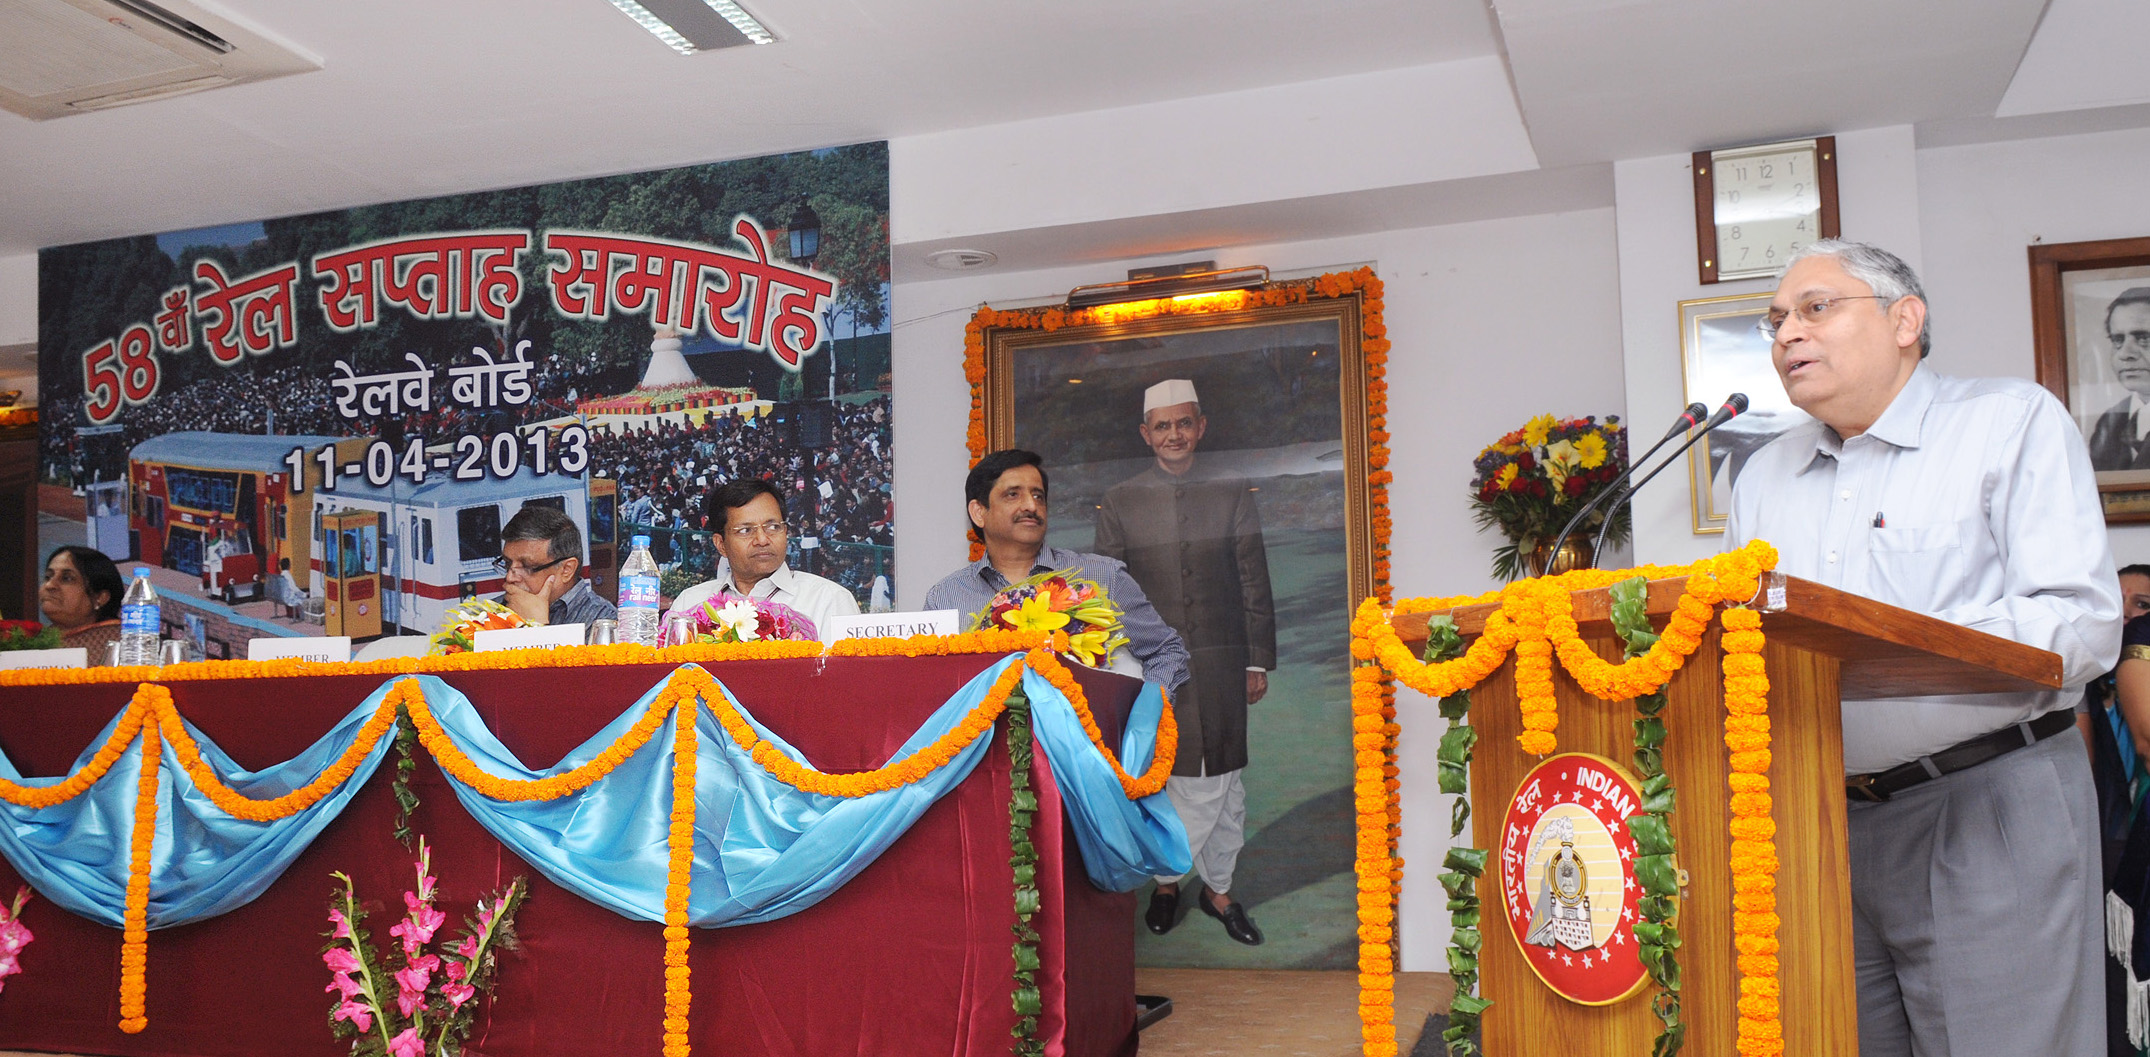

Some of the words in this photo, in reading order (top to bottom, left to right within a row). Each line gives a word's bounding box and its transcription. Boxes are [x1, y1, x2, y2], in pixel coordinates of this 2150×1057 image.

[153, 283, 193, 353] वॉँ
[191, 257, 301, 369] रेल
[311, 229, 532, 333] सप्ताह
[545, 217, 844, 371] समारोह
[79, 319, 165, 427] 58
[327, 347, 438, 421] रेलवे
[447, 335, 537, 411] बोर्ड
[282, 421, 592, 498] 11-04-2013
[1509, 771, 1551, 819] रेल
[1572, 764, 1637, 820] INDIAN
[1497, 819, 1526, 927] भारतीय